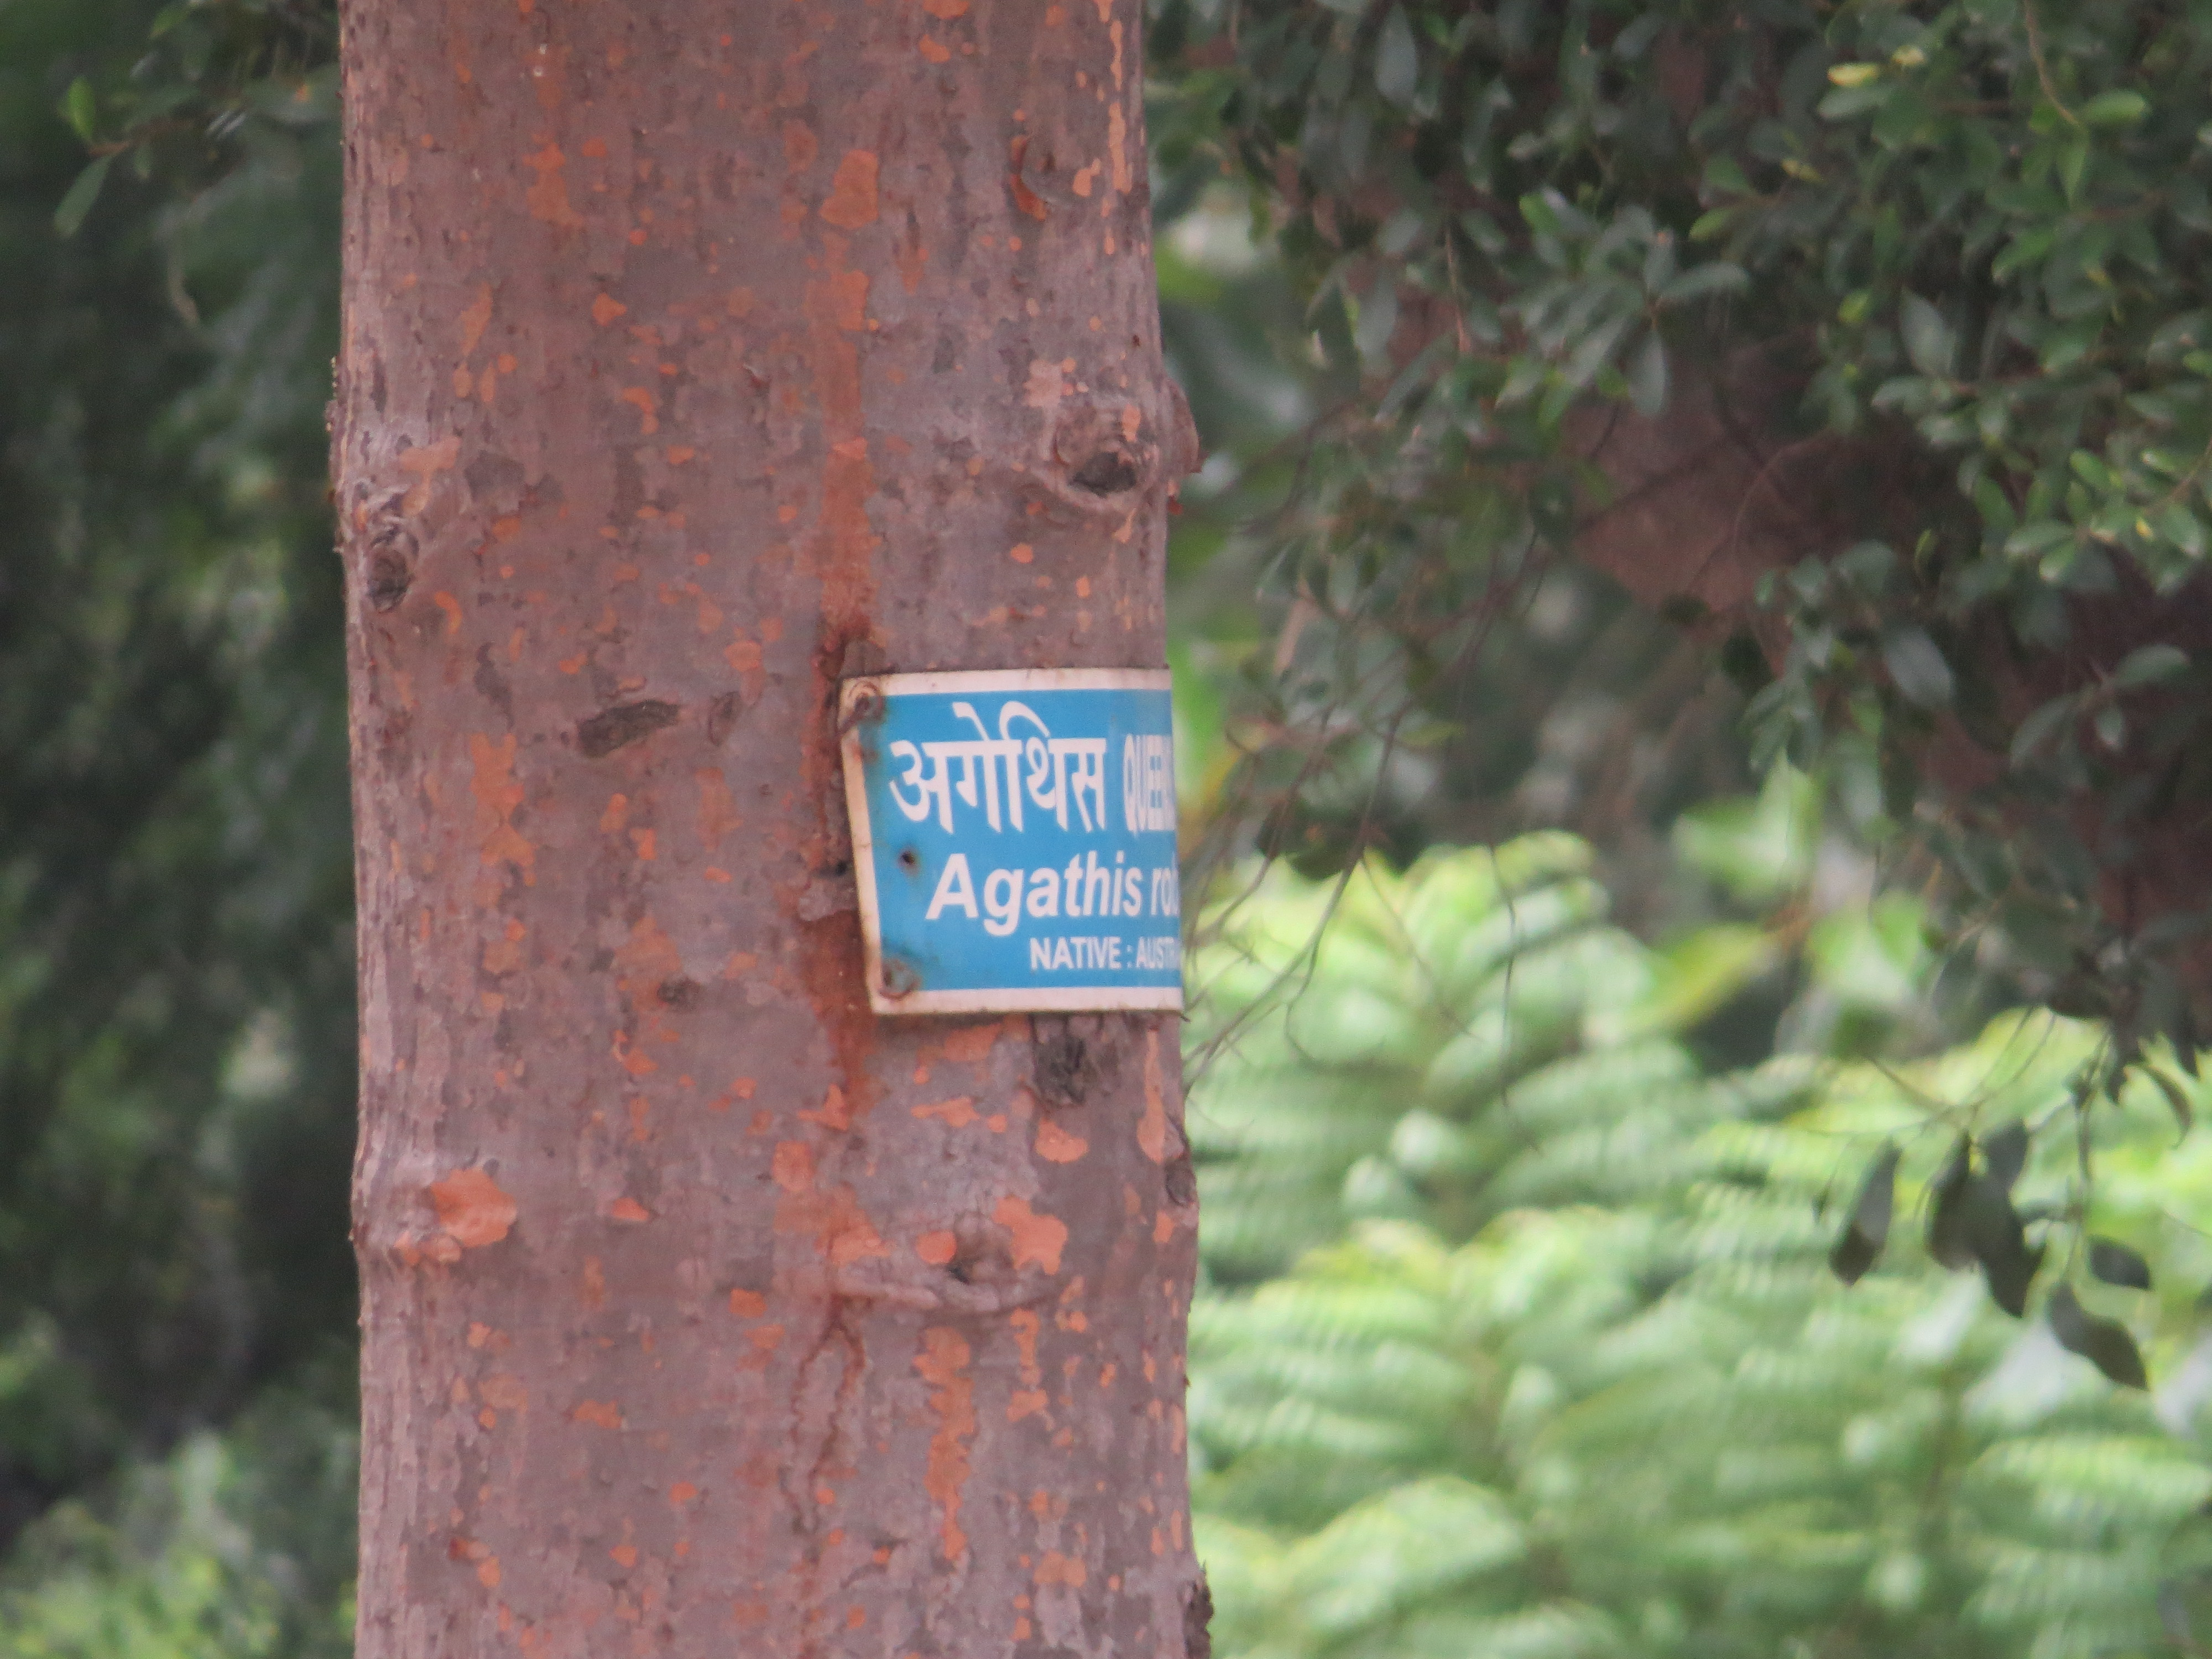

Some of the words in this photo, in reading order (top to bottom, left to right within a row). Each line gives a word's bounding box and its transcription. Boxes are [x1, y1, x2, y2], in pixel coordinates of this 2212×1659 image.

[884, 696, 1108, 837] अगेथिस
[921, 847, 1146, 941] Agathis
[1024, 933, 1125, 974] NATIVE
[1131, 935, 1183, 975] AUSTR